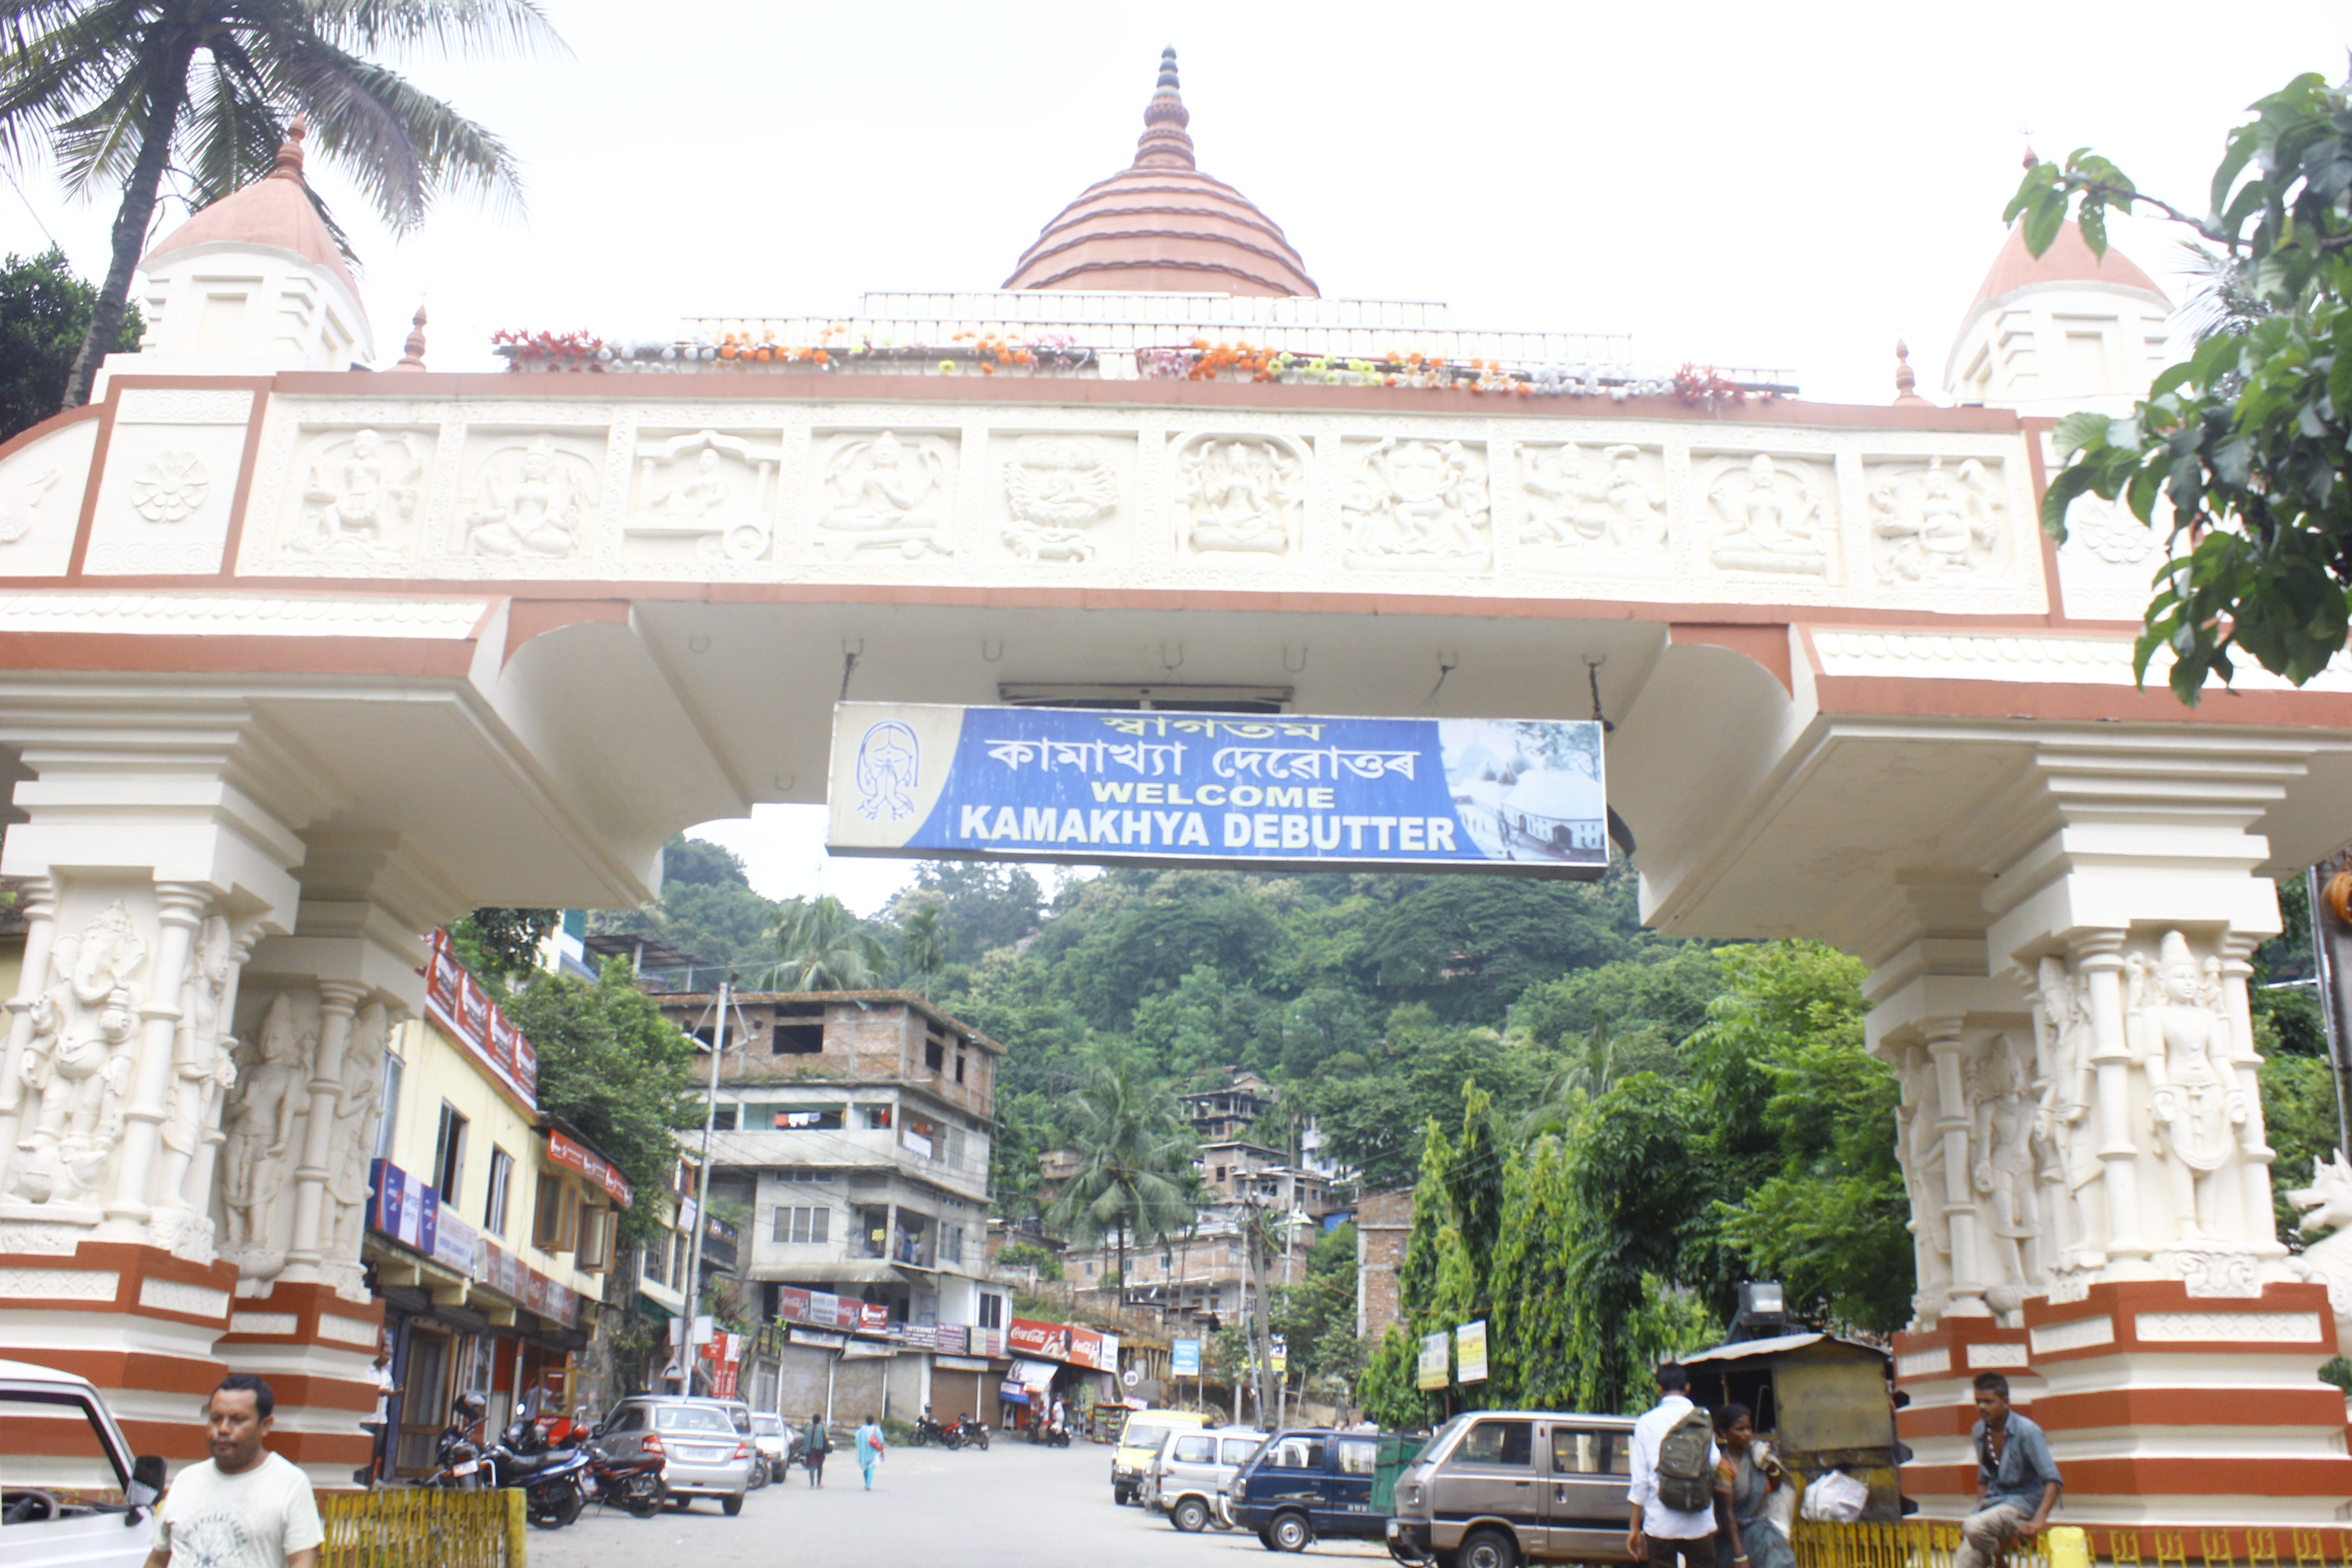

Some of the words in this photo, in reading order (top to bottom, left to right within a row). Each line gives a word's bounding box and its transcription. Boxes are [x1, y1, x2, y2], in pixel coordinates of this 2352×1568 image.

[1097, 714, 1328, 743] স্বাগতম
[984, 734, 1189, 782] কামাখ্যা
[1206, 743, 1426, 787] দেৱোত্তৰ
[1090, 779, 1341, 816] WELCOME
[954, 803, 1212, 852] KAMAKHYA
[1215, 806, 1461, 854] DEBUTTER